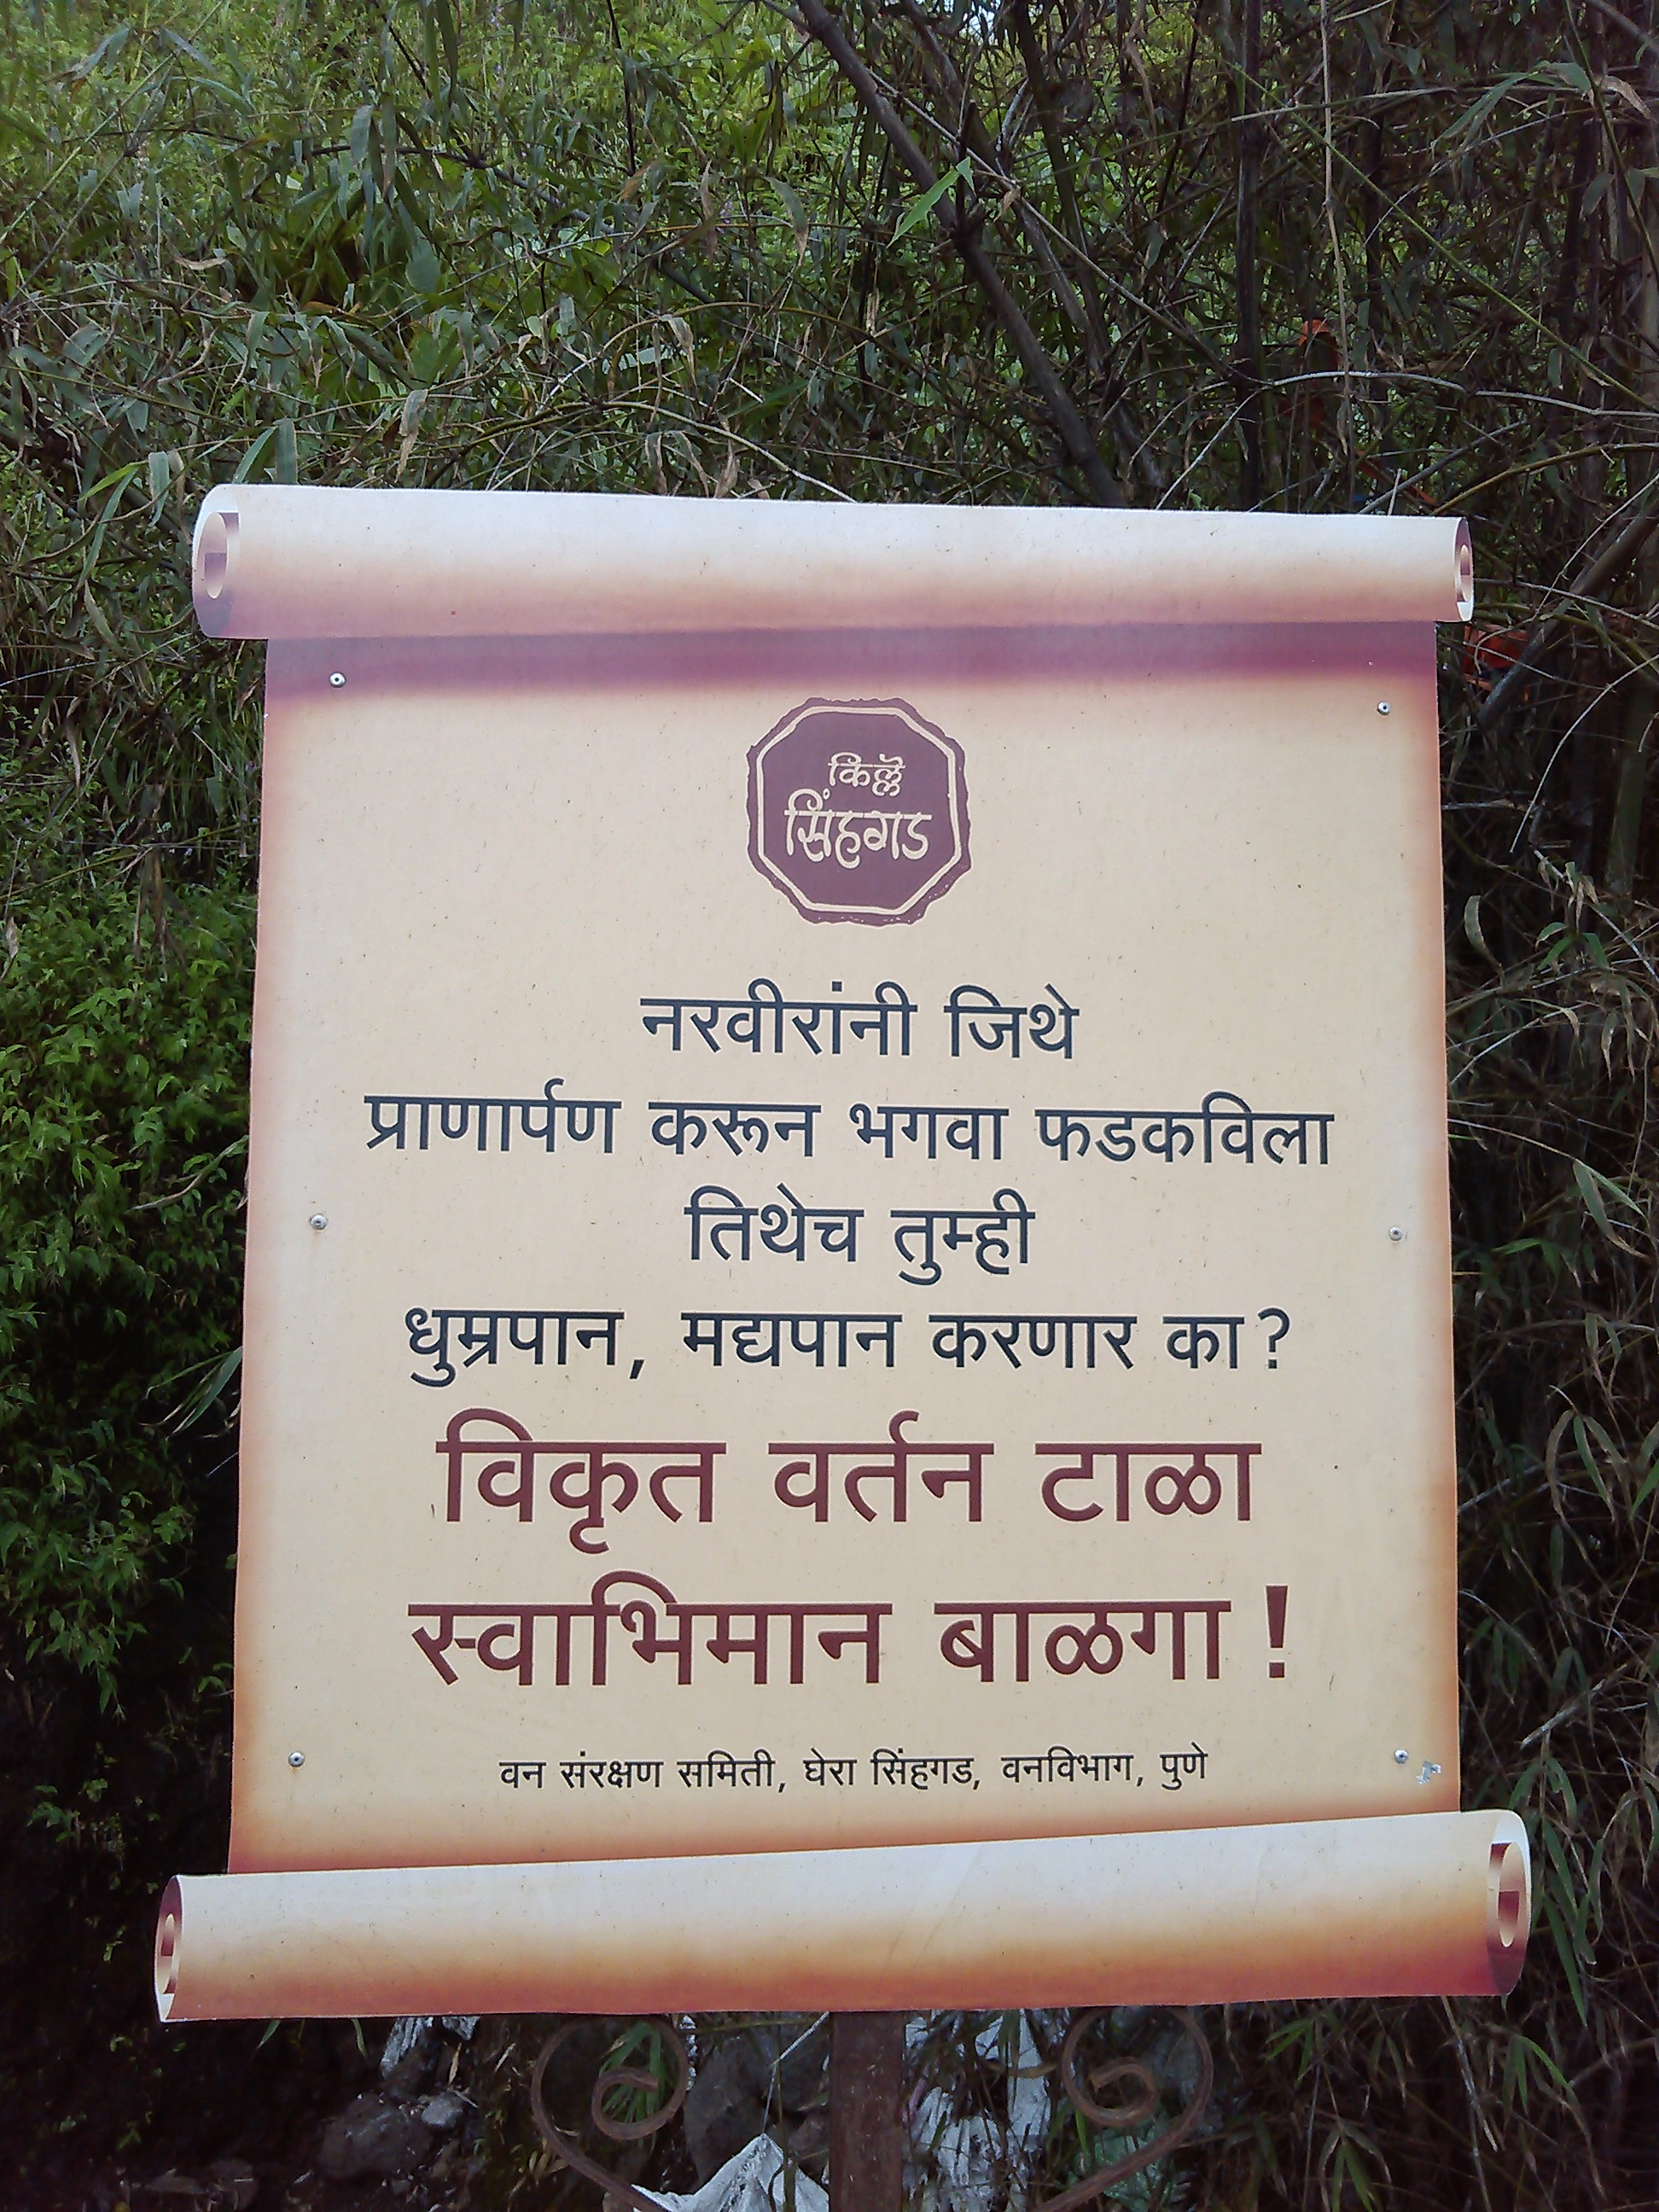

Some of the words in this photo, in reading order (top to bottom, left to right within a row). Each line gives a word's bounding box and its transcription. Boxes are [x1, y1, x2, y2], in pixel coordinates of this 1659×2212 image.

[823, 740, 913, 796] किल्लॆ
[777, 776, 939, 876] सिंहगड
[637, 972, 917, 1062] नरवीरांनी
[931, 972, 1082, 1068] जिथे
[361, 1080, 618, 1157] प्राणार्पण
[643, 1090, 824, 1161] करून
[841, 1095, 1005, 1164] भगवा
[1034, 1084, 1337, 1167] फडकविला
[674, 1175, 864, 1273] तिथेच
[876, 1189, 1037, 1287] तुम्ही
[405, 1299, 633, 1394] धुम्रपान
[678, 1306, 906, 1372] मद्यपान
[928, 1303, 1141, 1377] करणार
[1154, 1307, 1258, 1380] का
[430, 1389, 731, 1562] विकृत
[768, 1404, 1000, 1534] वर्तन
[1027, 1438, 1262, 1532] टाळा
[410, 1563, 898, 1691] स्वाभिमान
[933, 1591, 1237, 1692] बाळगा
[492, 1753, 548, 1793] वन
[558, 1745, 669, 1791] संरक्षण
[678, 1746, 773, 1793] समिती
[795, 1739, 863, 1790] घेरा
[859, 1739, 980, 1793] सिंहगड,
[1149, 1732, 1216, 1797] पुणे